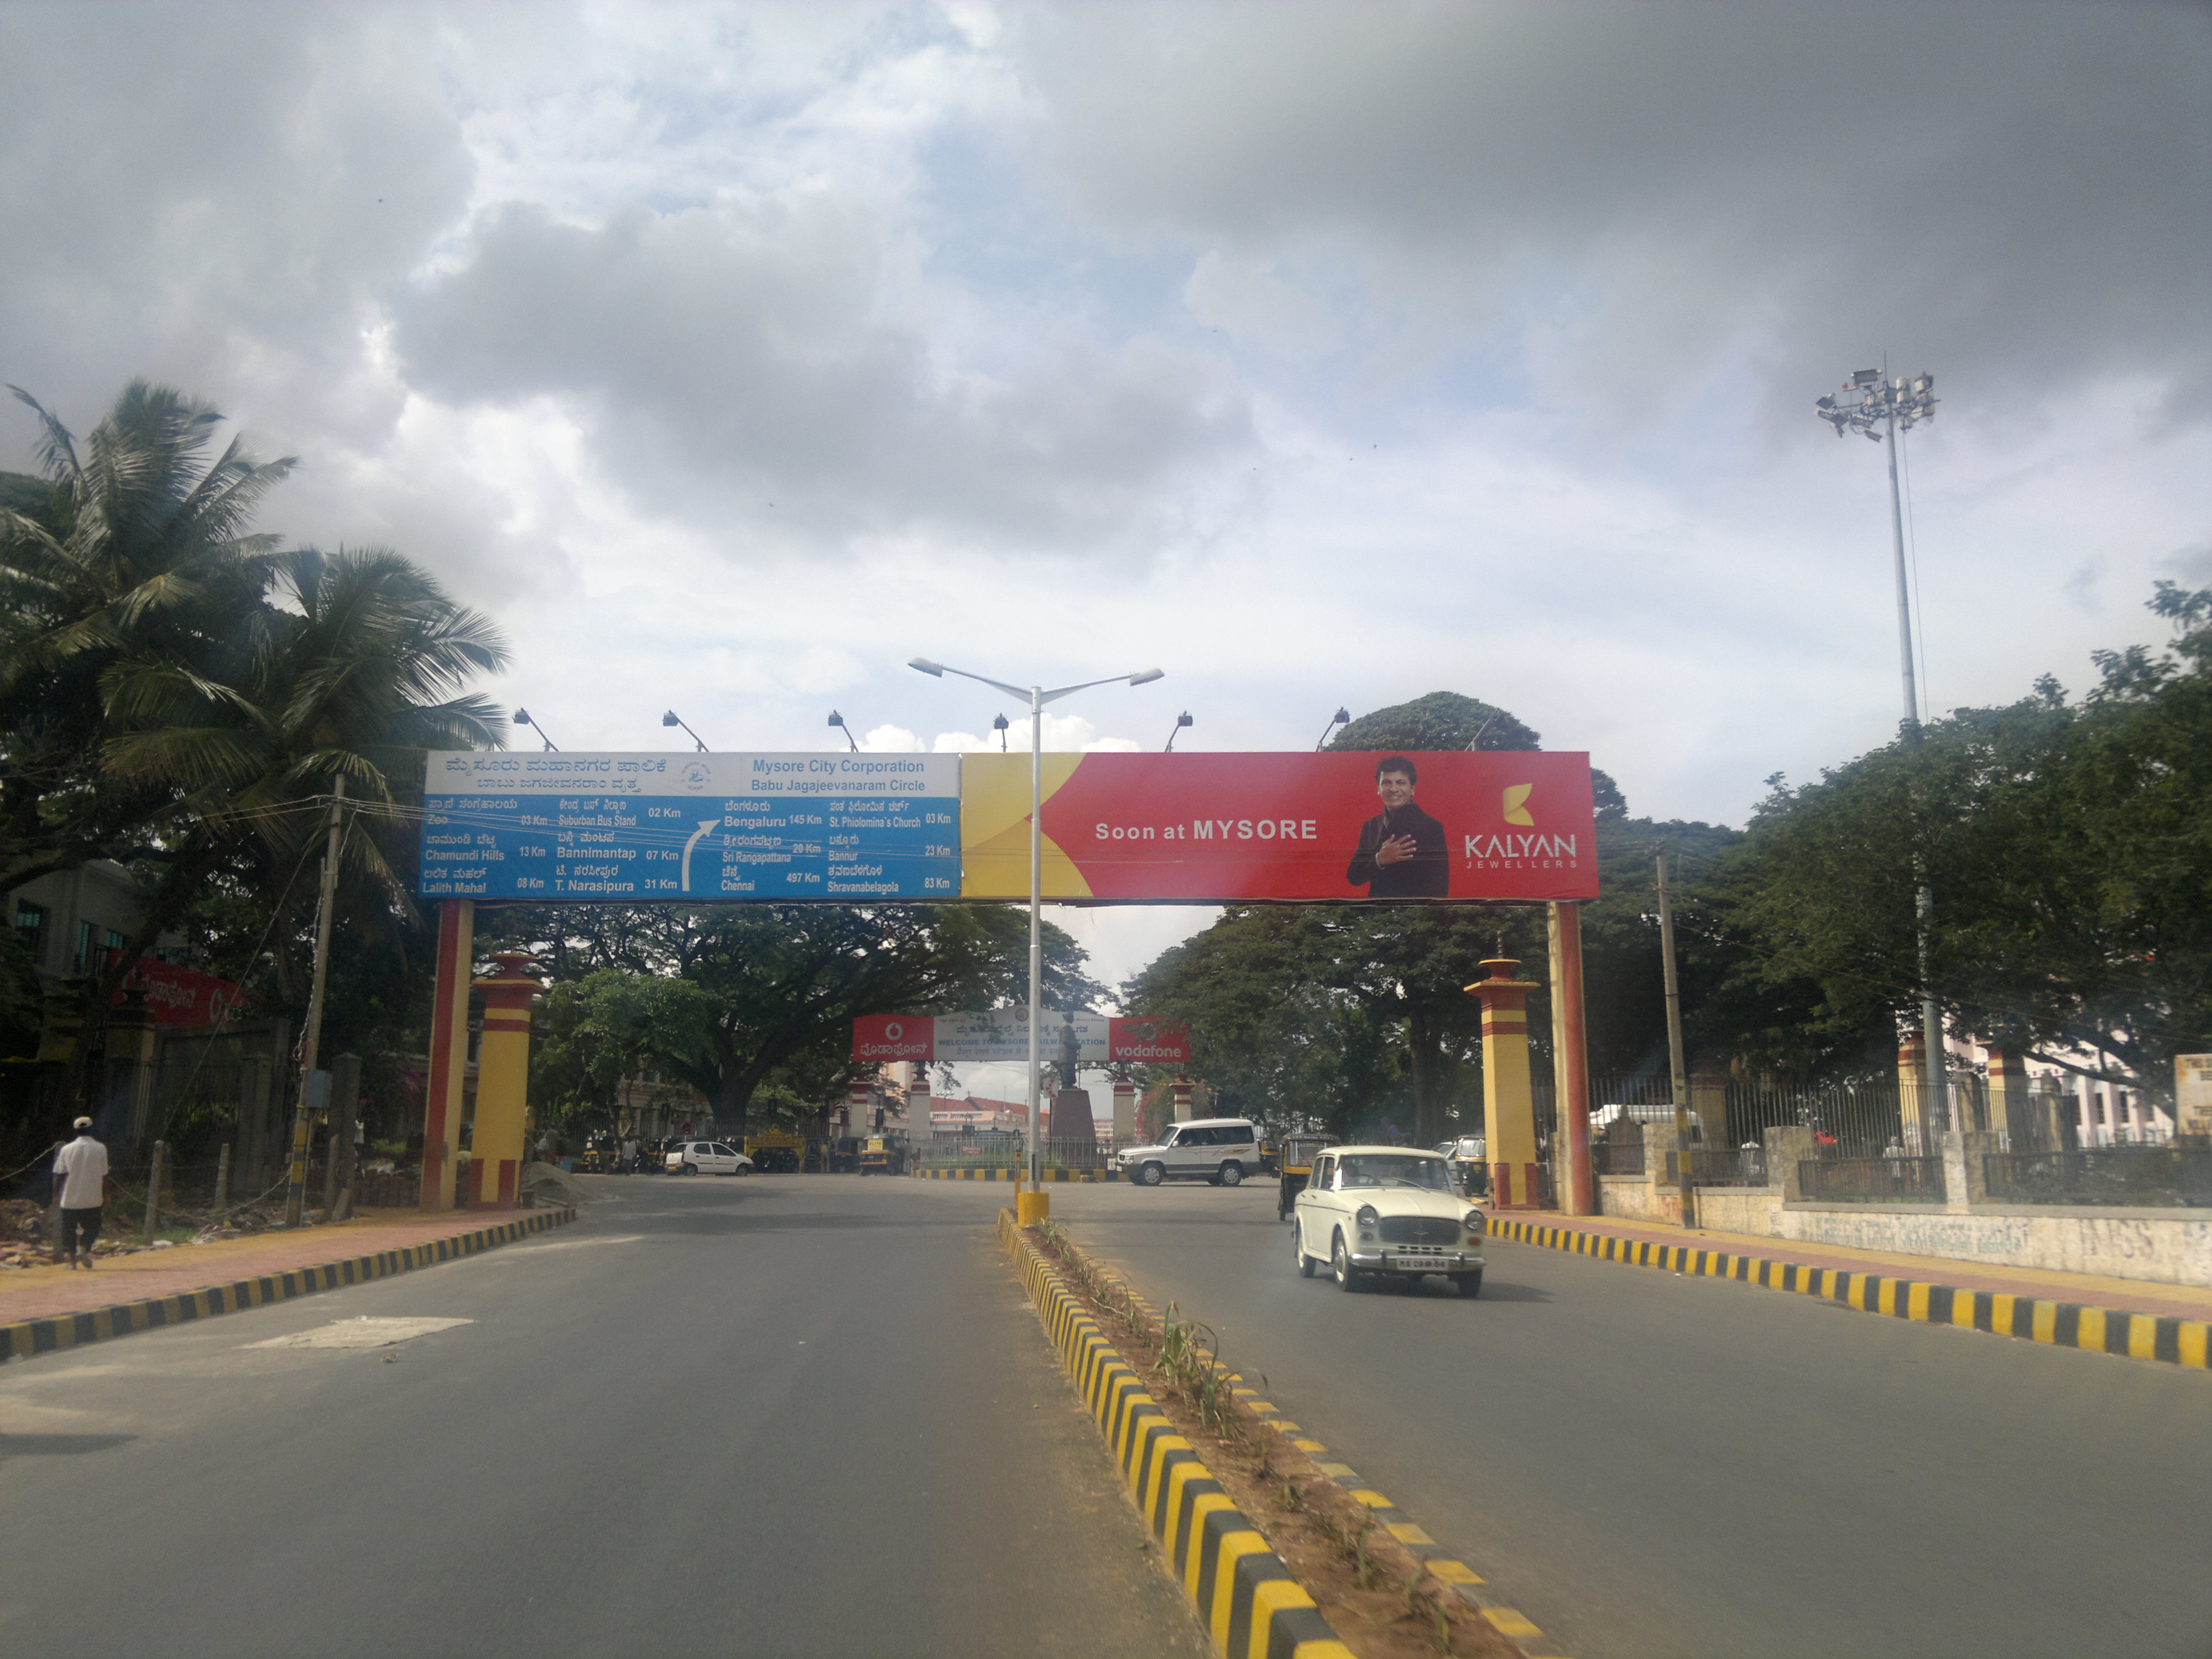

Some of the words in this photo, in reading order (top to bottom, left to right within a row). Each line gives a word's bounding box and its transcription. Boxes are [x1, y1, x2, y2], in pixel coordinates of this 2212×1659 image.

[443, 752, 523, 778] ಮೈಸೂರು
[521, 756, 612, 775] ಮಹಾನಗರ
[614, 753, 668, 775] ಪಾಲಿಕೆ
[751, 755, 807, 778] Mysore
[808, 757, 837, 776] City
[839, 757, 926, 776] Corporation
[476, 776, 516, 791] ಬಾಬು
[516, 773, 609, 791] ಜಗಜೀವನರಾಂ
[611, 773, 644, 794] ವೃತ್ತ
[749, 775, 786, 794] Babu
[786, 776, 888, 796] Jagajeevanaram
[889, 776, 927, 794] Circle
[422, 867, 449, 881] ಲಲಿತ
[421, 880, 453, 895] Lalith
[425, 812, 452, 830] ZOO
[423, 796, 455, 813] ಪಾಣಿ
[424, 830, 474, 848] ಚಾಮುಂಡಿ
[423, 846, 481, 863] Chamundi
[451, 864, 488, 880] ಮಹಲ್
[452, 879, 489, 896] Mahal
[475, 829, 499, 850] ಬೆಟ್ಟ
[457, 792, 519, 814] ಸಂಗ್ರಹಾಲಯ
[479, 847, 508, 863] Hills
[517, 843, 530, 861] 13
[515, 874, 546, 891] 08Km
[518, 811, 551, 827] 03Km
[529, 844, 547, 859] Km
[555, 862, 568, 880] ಟಿ
[554, 830, 577, 847] ಬನ್ನಿ
[555, 796, 581, 813] ಕೇಂದ್ರ
[556, 811, 597, 828] Suburban
[581, 797, 602, 813] ಬಸ್
[554, 877, 637, 895] T.Narasipura
[575, 828, 617, 846] ಮಂಟಪ
[572, 860, 621, 880] ನರಸೀಪುರ
[556, 844, 638, 863] Bannimantap
[593, 813, 614, 829] Bus
[600, 794, 628, 816] ನಿಲ್ಲಾಣ
[612, 811, 638, 830] Stand
[639, 878, 658, 889] 31
[643, 848, 661, 863] 07
[645, 805, 683, 821] 02Km
[655, 878, 680, 891] Km
[659, 848, 681, 864] Km
[719, 847, 737, 866] Sri
[719, 861, 742, 883] ಚನೈ
[719, 875, 757, 893] Chennai
[721, 795, 774, 815] ಬೆಂಗಳೂರು
[722, 831, 783, 851] ಶ್ರೀರಂಗಪಟ್ಟಣ
[723, 813, 788, 831] Bengaluru
[734, 848, 792, 868] Rangapattana
[784, 870, 822, 886] 497Km
[785, 810, 825, 826] 145Km
[790, 840, 823, 855] 20Km
[827, 816, 841, 830] St.
[827, 796, 846, 815] ಸಂತ
[825, 829, 861, 848] ಬನ್ನೂರು
[826, 849, 860, 863] Bannur
[826, 862, 885, 879] ಶ್ರವಣಬೆಳಗೊಳ
[826, 877, 902, 896] Shravanabelagola
[846, 795, 886, 815] ಫಿಲೋಮಿನ
[841, 813, 892, 830] Phiolomina
[885, 797, 910, 815] ಚಚ್೯
[891, 813, 923, 830] Church
[922, 842, 952, 858] 23Km
[922, 874, 953, 891] 83Km
[924, 811, 953, 825] 03Km
[1091, 820, 1156, 842] Soon
[1160, 821, 1188, 844] at
[1190, 816, 1320, 844] MYSORE
[1460, 830, 1581, 860] KALYAN
[1465, 855, 1578, 873] JEWELLERS
[135, 969, 200, 1011] ವೊಡಾಫೋನ
[857, 1035, 929, 1060] ವೊಡಾಫೋನ್
[935, 1035, 982, 1048] WELCOME
[954, 1042, 974, 1060] मैसूर
[972, 1045, 990, 1058] रेलवें
[980, 1036, 1008, 1046] TOWN
[989, 1041, 1015, 1057] स्टेशन
[1012, 1046, 1025, 1056] में
[1007, 1035, 1050, 1046] SORE RAIL
[1075, 1037, 1107, 1047] TATION
[1113, 1041, 1183, 1062] vodafone